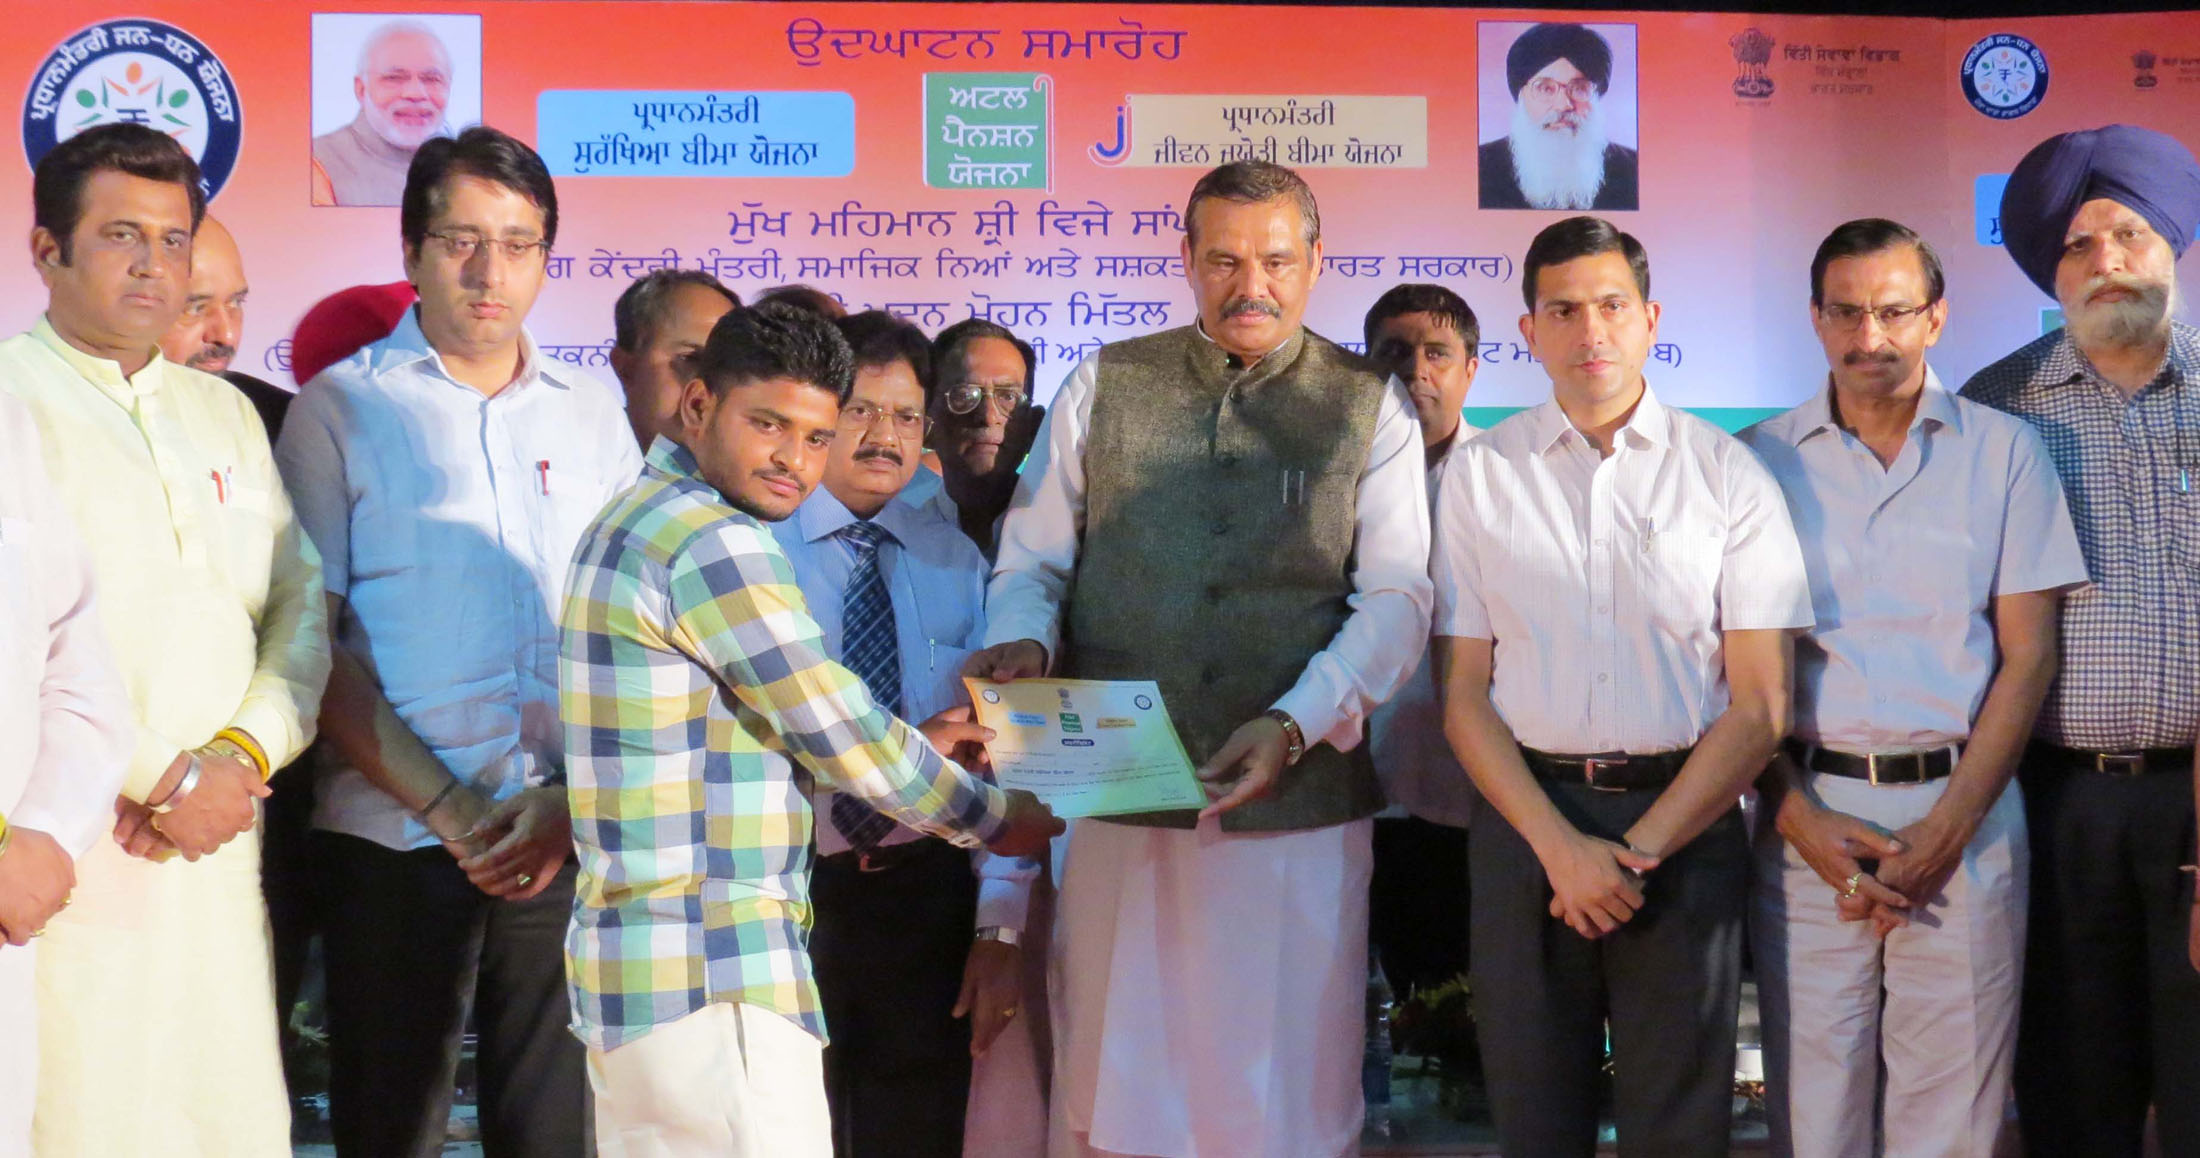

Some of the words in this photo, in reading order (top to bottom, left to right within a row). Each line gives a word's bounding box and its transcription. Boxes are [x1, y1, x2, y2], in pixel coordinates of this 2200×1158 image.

[106, 21, 213, 75] ਜਨ-ਧਨ
[775, 9, 1010, 71] ਉਦਘਾਟਨ
[1016, 11, 1196, 69] ਸਮਾਰੋਹ
[23, 22, 112, 129] ਪ੍ਰਧਾਨਮੰਤਰੀ
[186, 52, 243, 129] ਯੋਜਨਾ
[563, 129, 674, 178] ਸੁਰੱਖਿਆ
[626, 88, 767, 137] ਪ੍ਰਧਾਨਮੰਤਰੀ
[673, 129, 742, 171] ਬੀਮਾ
[744, 132, 823, 171] ਯੇਜਨਾ
[931, 147, 1039, 191] ਯੋਜਨਾ
[942, 83, 1033, 115] ਅਟਲ
[932, 111, 1043, 157] ਪੈਨਸ਼ਨ
[1143, 132, 1213, 173] ਜੀਵਨ
[1216, 132, 1283, 166] ਜਯੋਤੀ
[1217, 96, 1338, 134] ਪ੍ਰਧਾਨਮੰਤਰੀ
[1284, 134, 1336, 168] ਬੀਮਾ
[1341, 135, 1406, 167] ਯੋਜਨਾ
[719, 192, 795, 249] ਮੁੱਖ
[801, 195, 963, 243] ਮਹਿਮਾਨ
[967, 195, 1024, 249] ਸ਼੍ਰੀ
[1031, 194, 1116, 242] ਵਿਜੇ
[1119, 193, 1190, 242] ਸਾਂਪ
[544, 250, 577, 282] ਗ
[789, 243, 929, 285] ਸਮਾਜਿਕ
[927, 244, 1019, 285] ਨਿਆ
[1016, 242, 1089, 287] ਅਤੇ
[1089, 250, 1186, 281] ਸਸ਼ਕਤ
[1323, 251, 1390, 281] ਰਤ
[1393, 251, 1509, 285] ਸਰਕਾਰ
[917, 294, 957, 331] ਨ
[961, 287, 1057, 332] ਮੋਹਨ
[1061, 285, 1181, 333] ਮਿੱਤਲ
[561, 336, 612, 375] ਕਨੀ
[1053, 337, 1087, 365] ਅ
[1480, 335, 1506, 371] ਟ